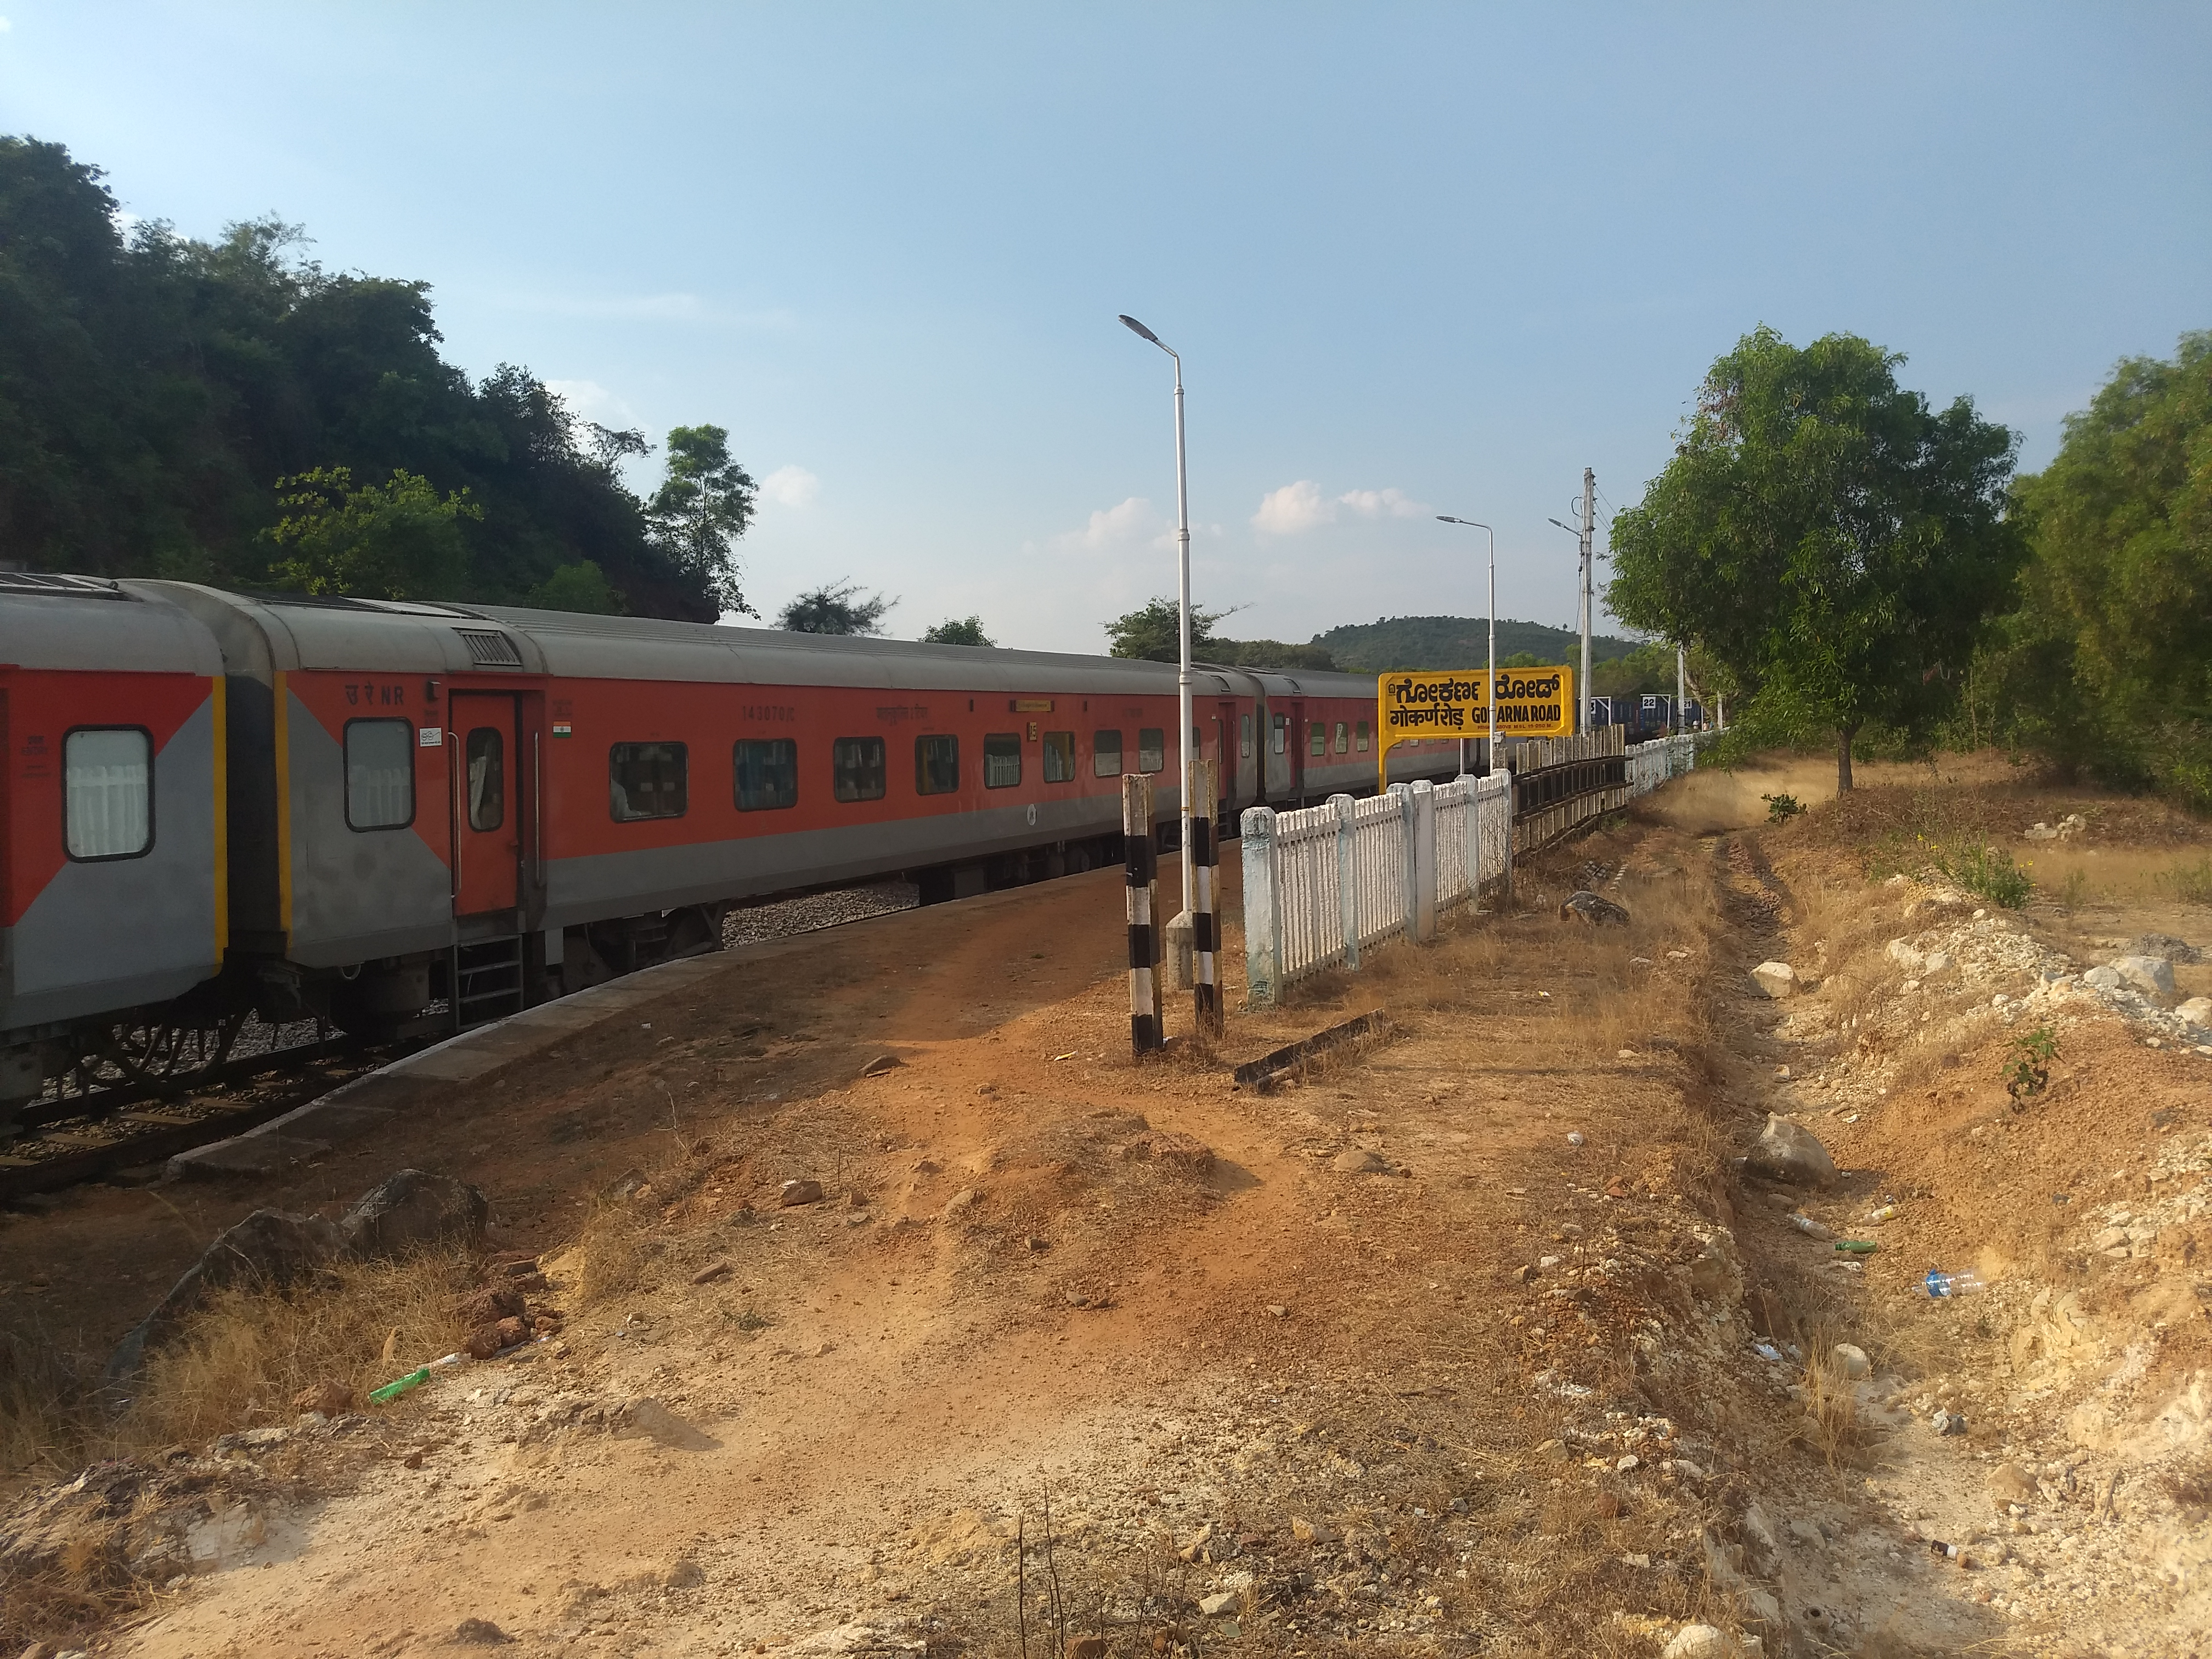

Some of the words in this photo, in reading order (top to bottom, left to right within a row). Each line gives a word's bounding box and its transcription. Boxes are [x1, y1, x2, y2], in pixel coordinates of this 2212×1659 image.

[341, 678, 407, 711] उ रे NR
[875, 701, 915, 729] वातानुकूलित
[905, 701, 931, 724] 2 टियर
[1384, 696, 1467, 734] गोकर्ण रोड़
[1389, 670, 1482, 709] ಗೋಕರ್ಣ
[1467, 699, 1532, 726] GOKARNA
[1482, 668, 1563, 703] ರೋಡ್
[1526, 699, 1564, 723] ROAD